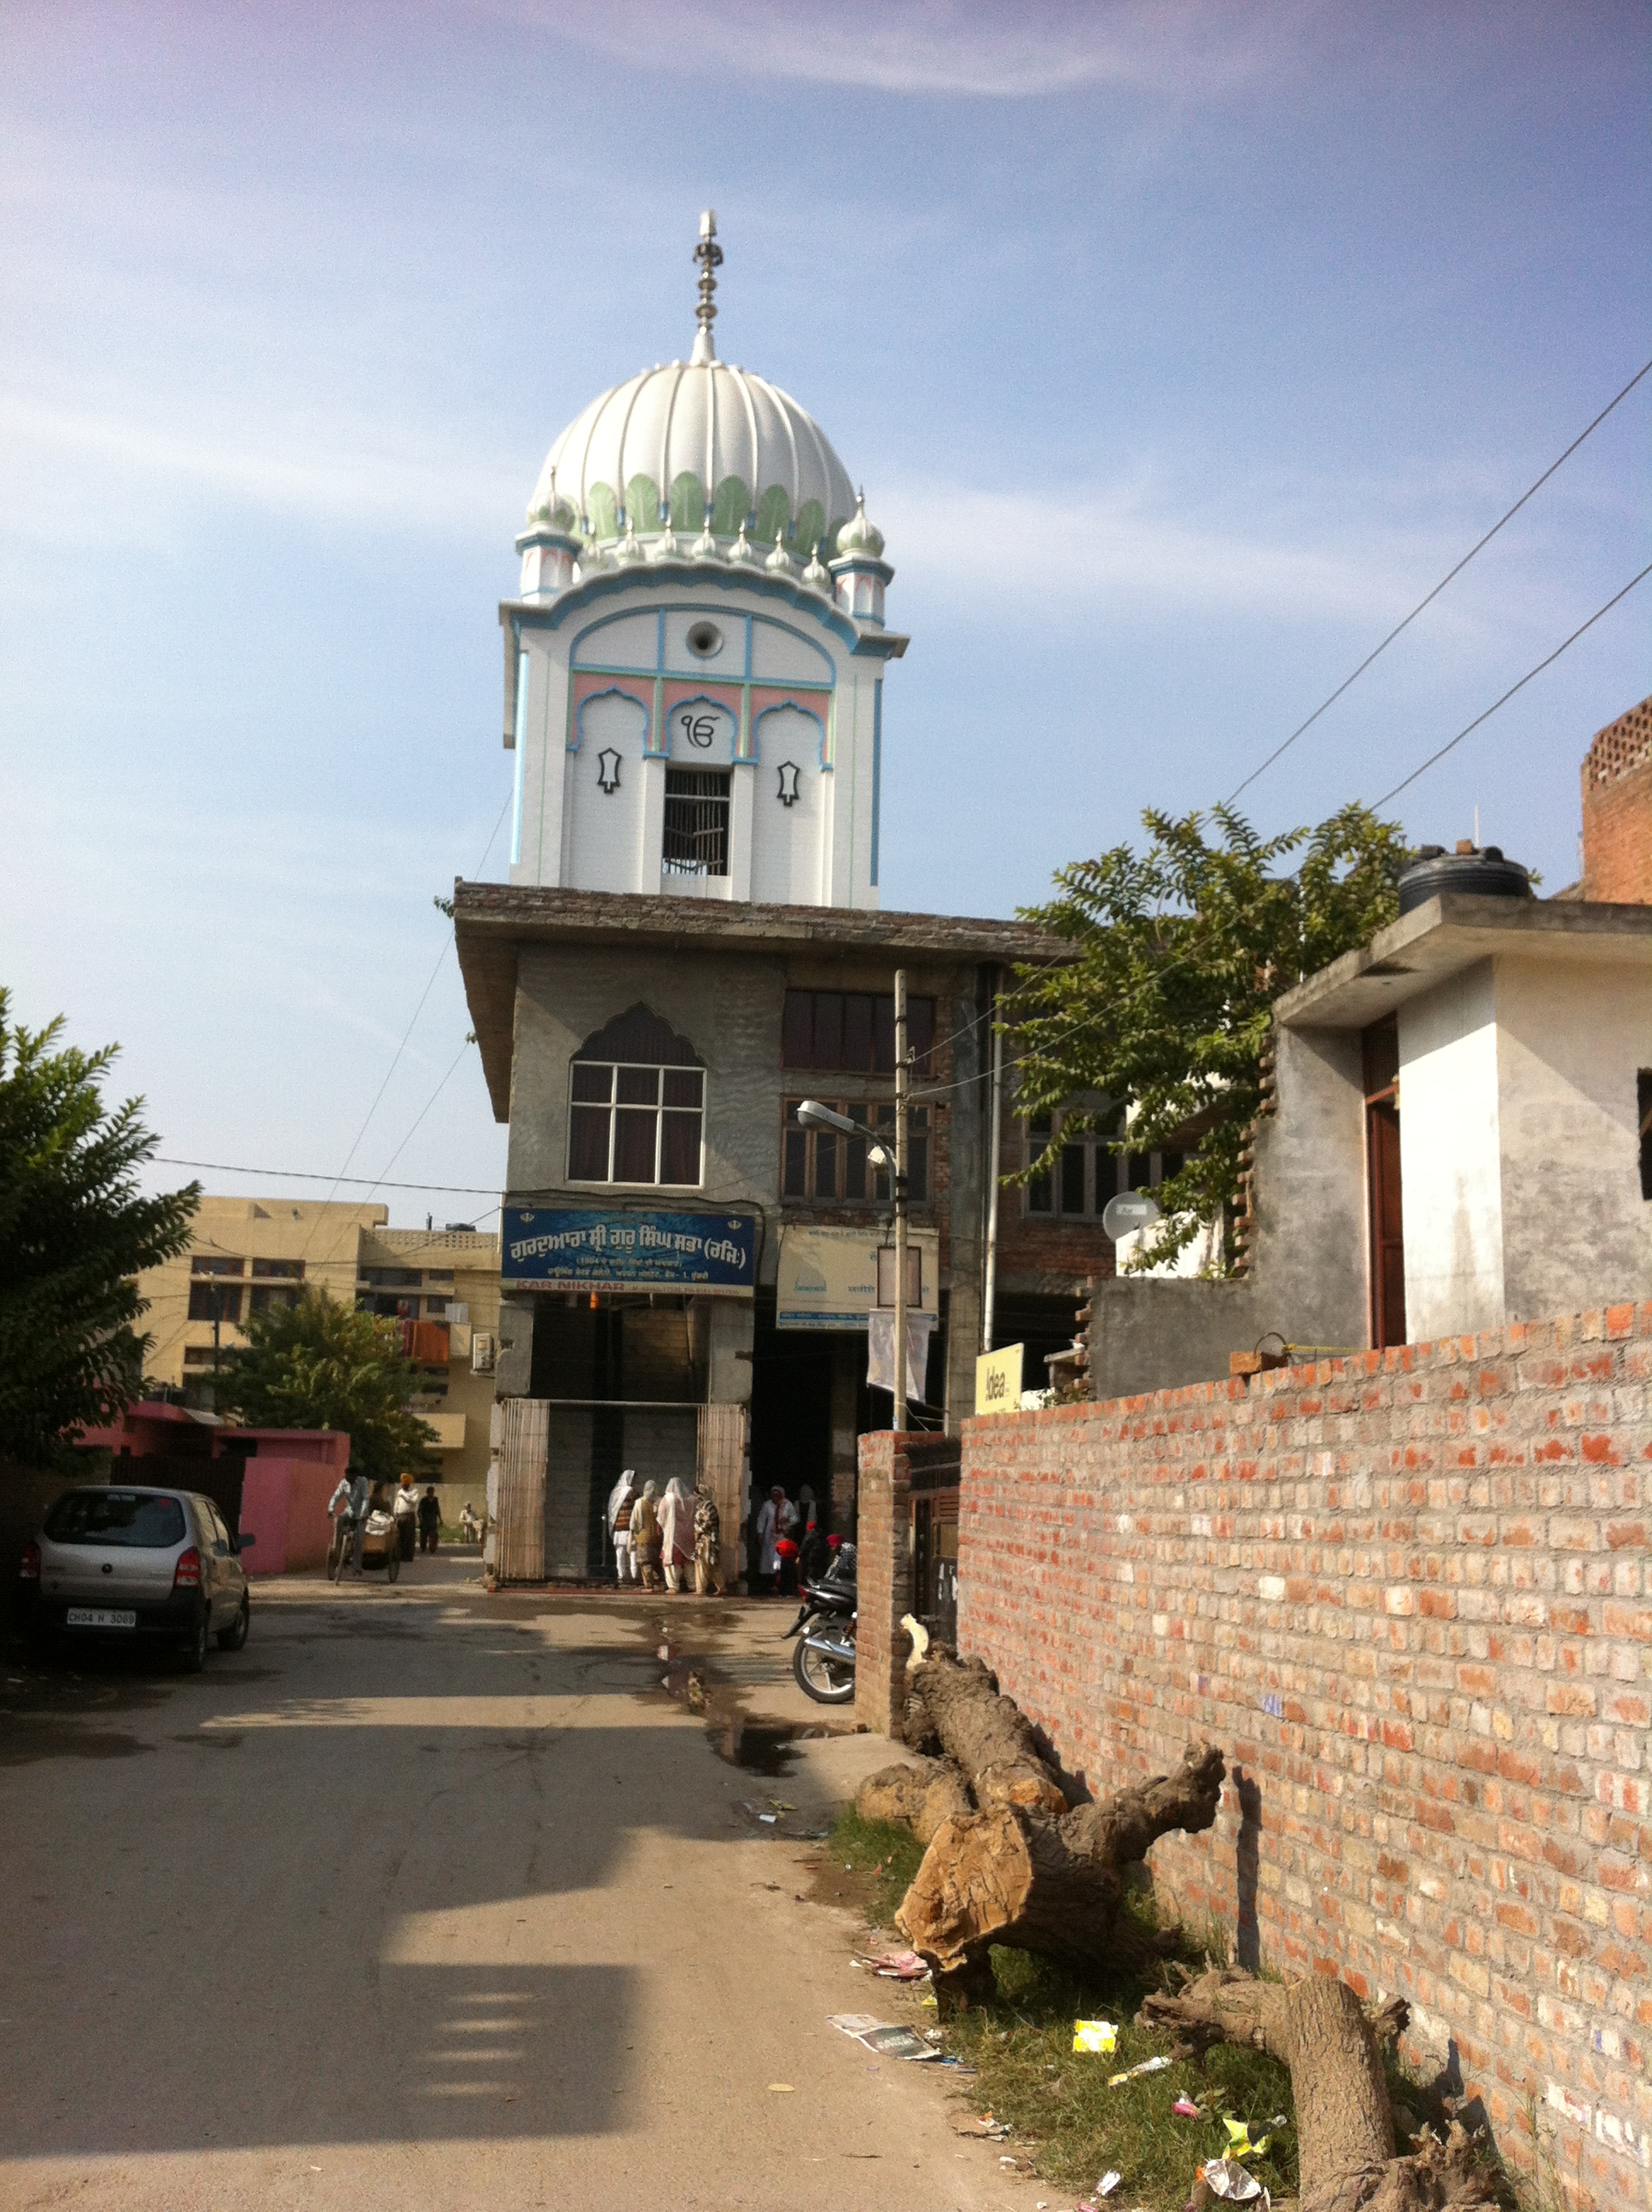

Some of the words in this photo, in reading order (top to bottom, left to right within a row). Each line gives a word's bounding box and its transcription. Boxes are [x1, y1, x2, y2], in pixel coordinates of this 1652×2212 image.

[674, 706, 725, 755] ੴ
[504, 1226, 590, 1266] ਗੁਰਦੁਆਰਾ
[586, 1219, 608, 1254] मी
[608, 1223, 637, 1256] ਗੁਰੂ
[636, 1220, 674, 1254] ਸਿੰਘ
[673, 1227, 706, 1256] ਸਭਾ
[707, 1236, 745, 1266] ਹਜਿਃ
[514, 1278, 554, 1289] KAR
[552, 1278, 627, 1292] NIKHAR
[980, 1364, 1009, 1403] idea
[66, 1610, 95, 1624] CH04
[94, 1612, 107, 1626] ਜ
[108, 1612, 136, 1627] 3069